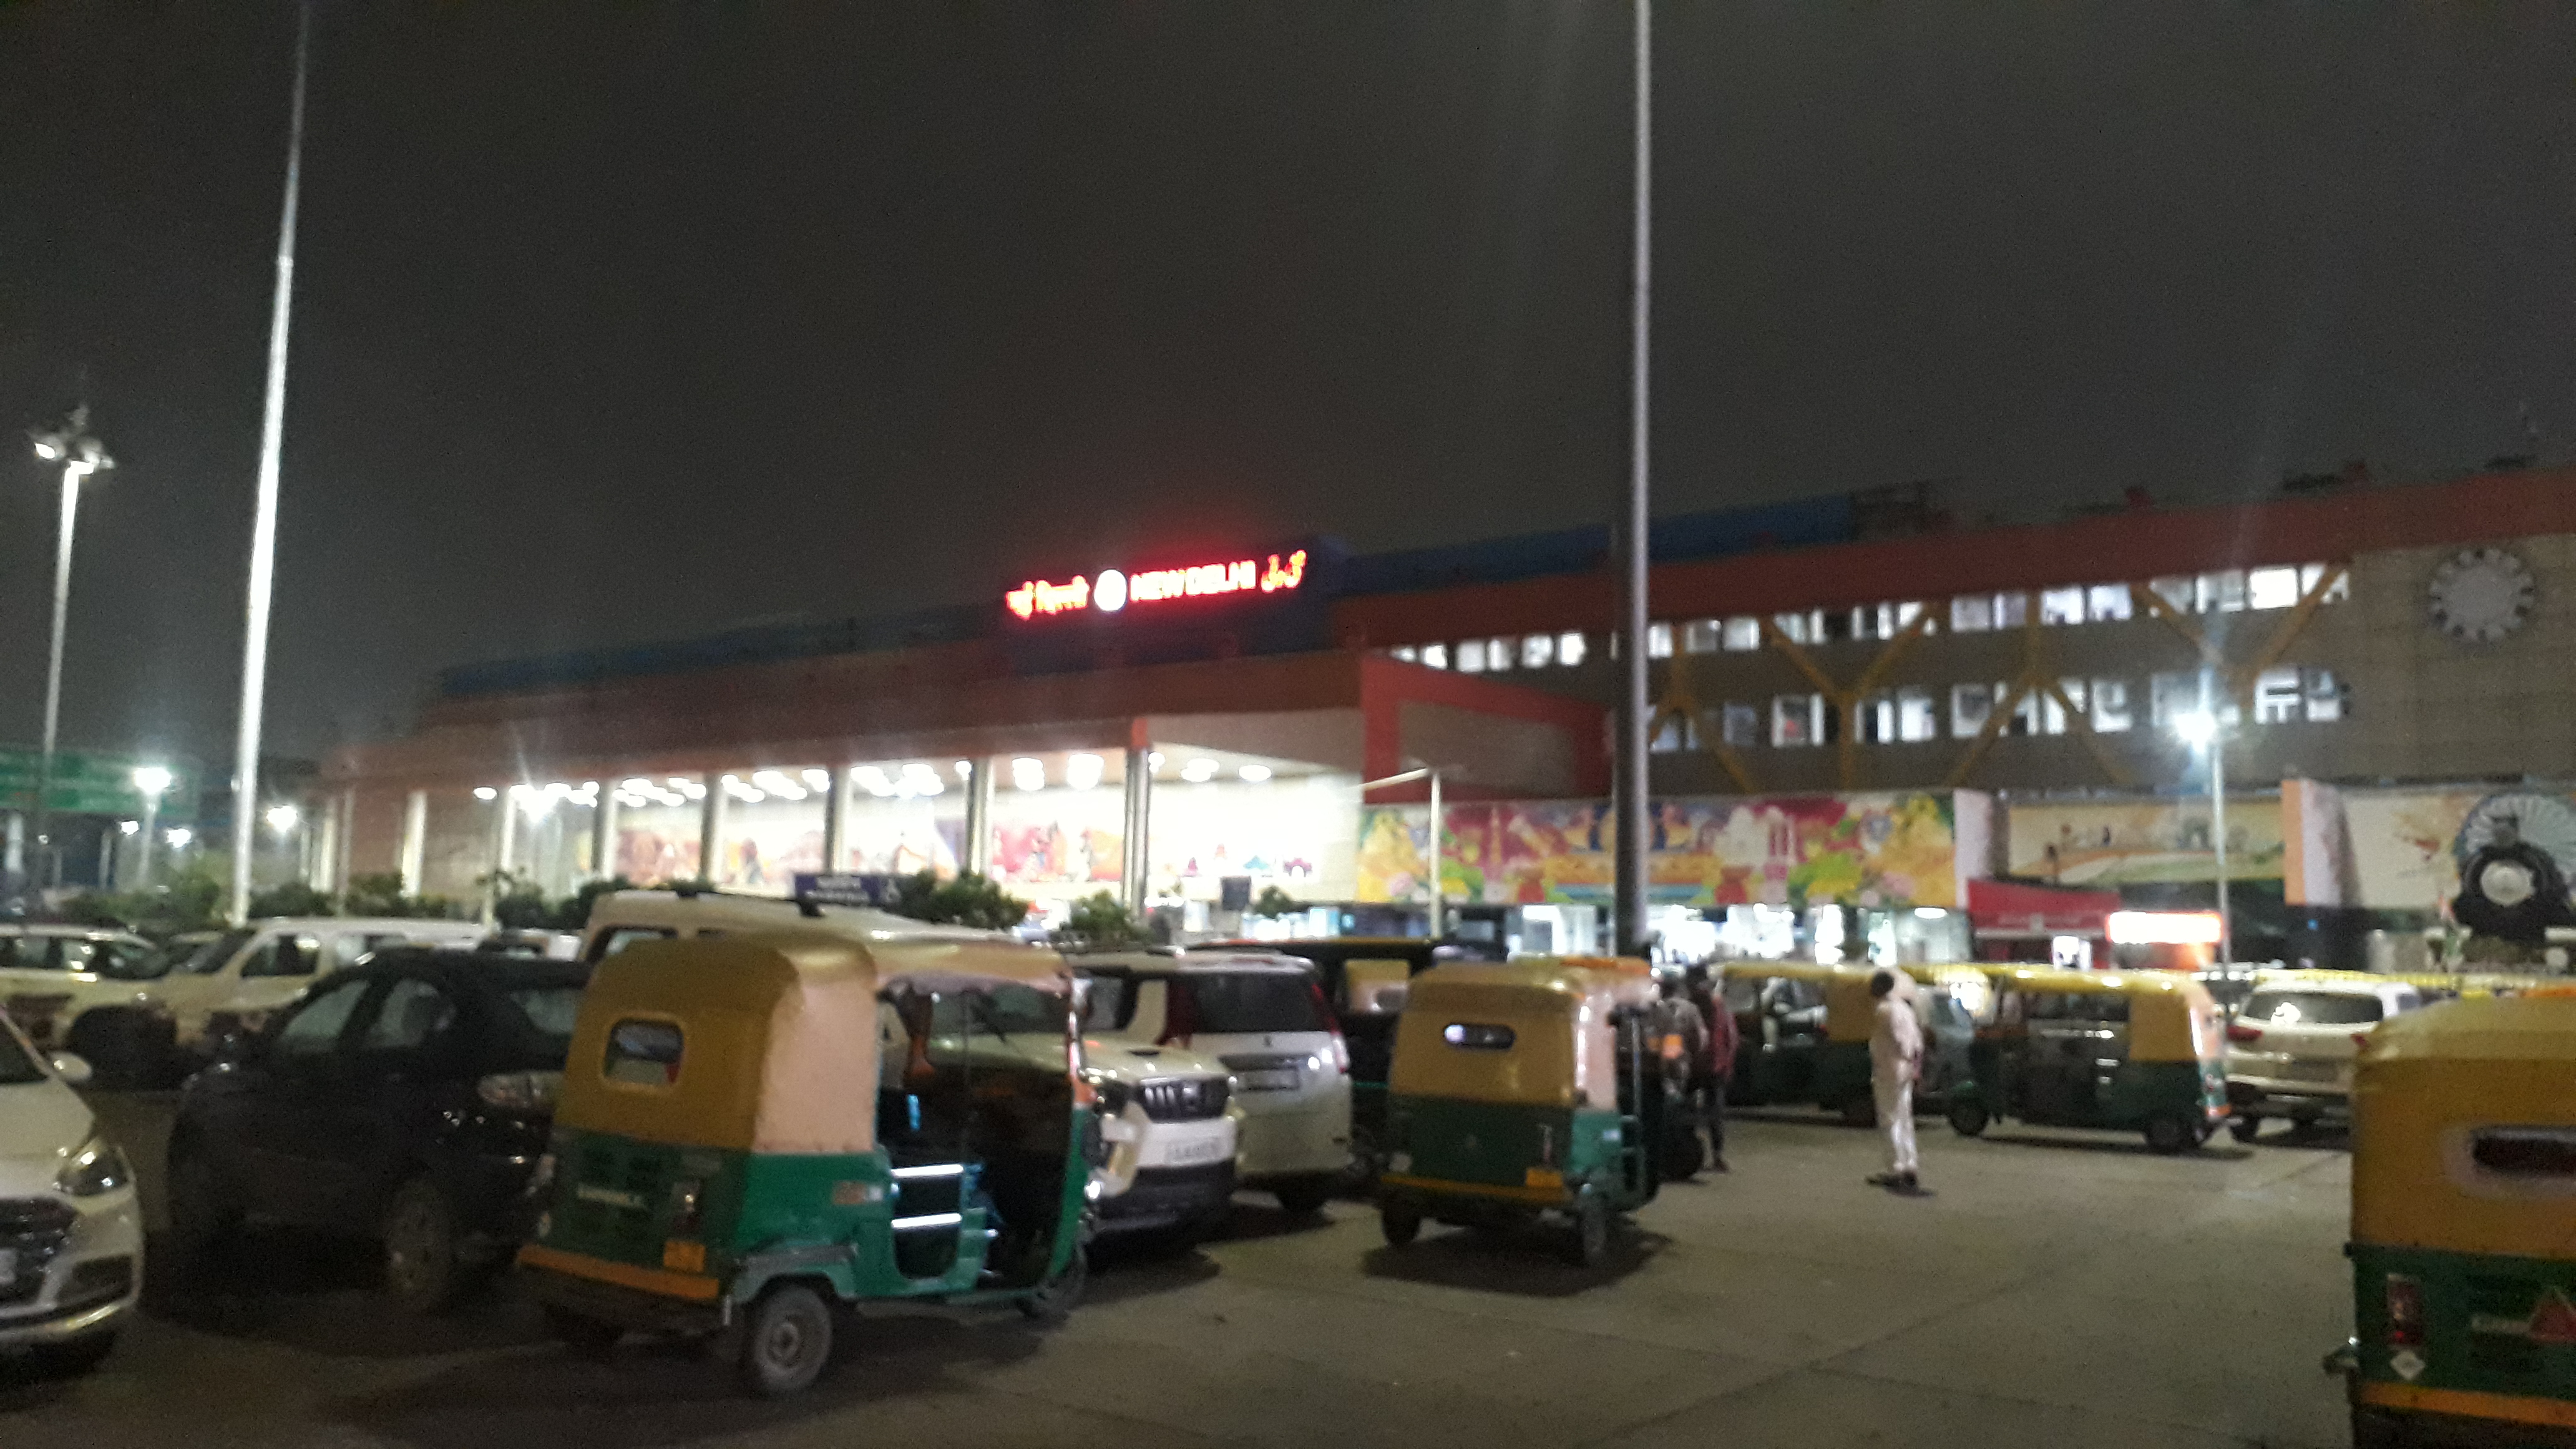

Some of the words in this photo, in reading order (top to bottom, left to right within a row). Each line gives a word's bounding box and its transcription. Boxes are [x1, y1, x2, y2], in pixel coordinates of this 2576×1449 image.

[1004, 574, 1092, 618] नई दिल्ली
[1129, 559, 1256, 602] NEWDELHI